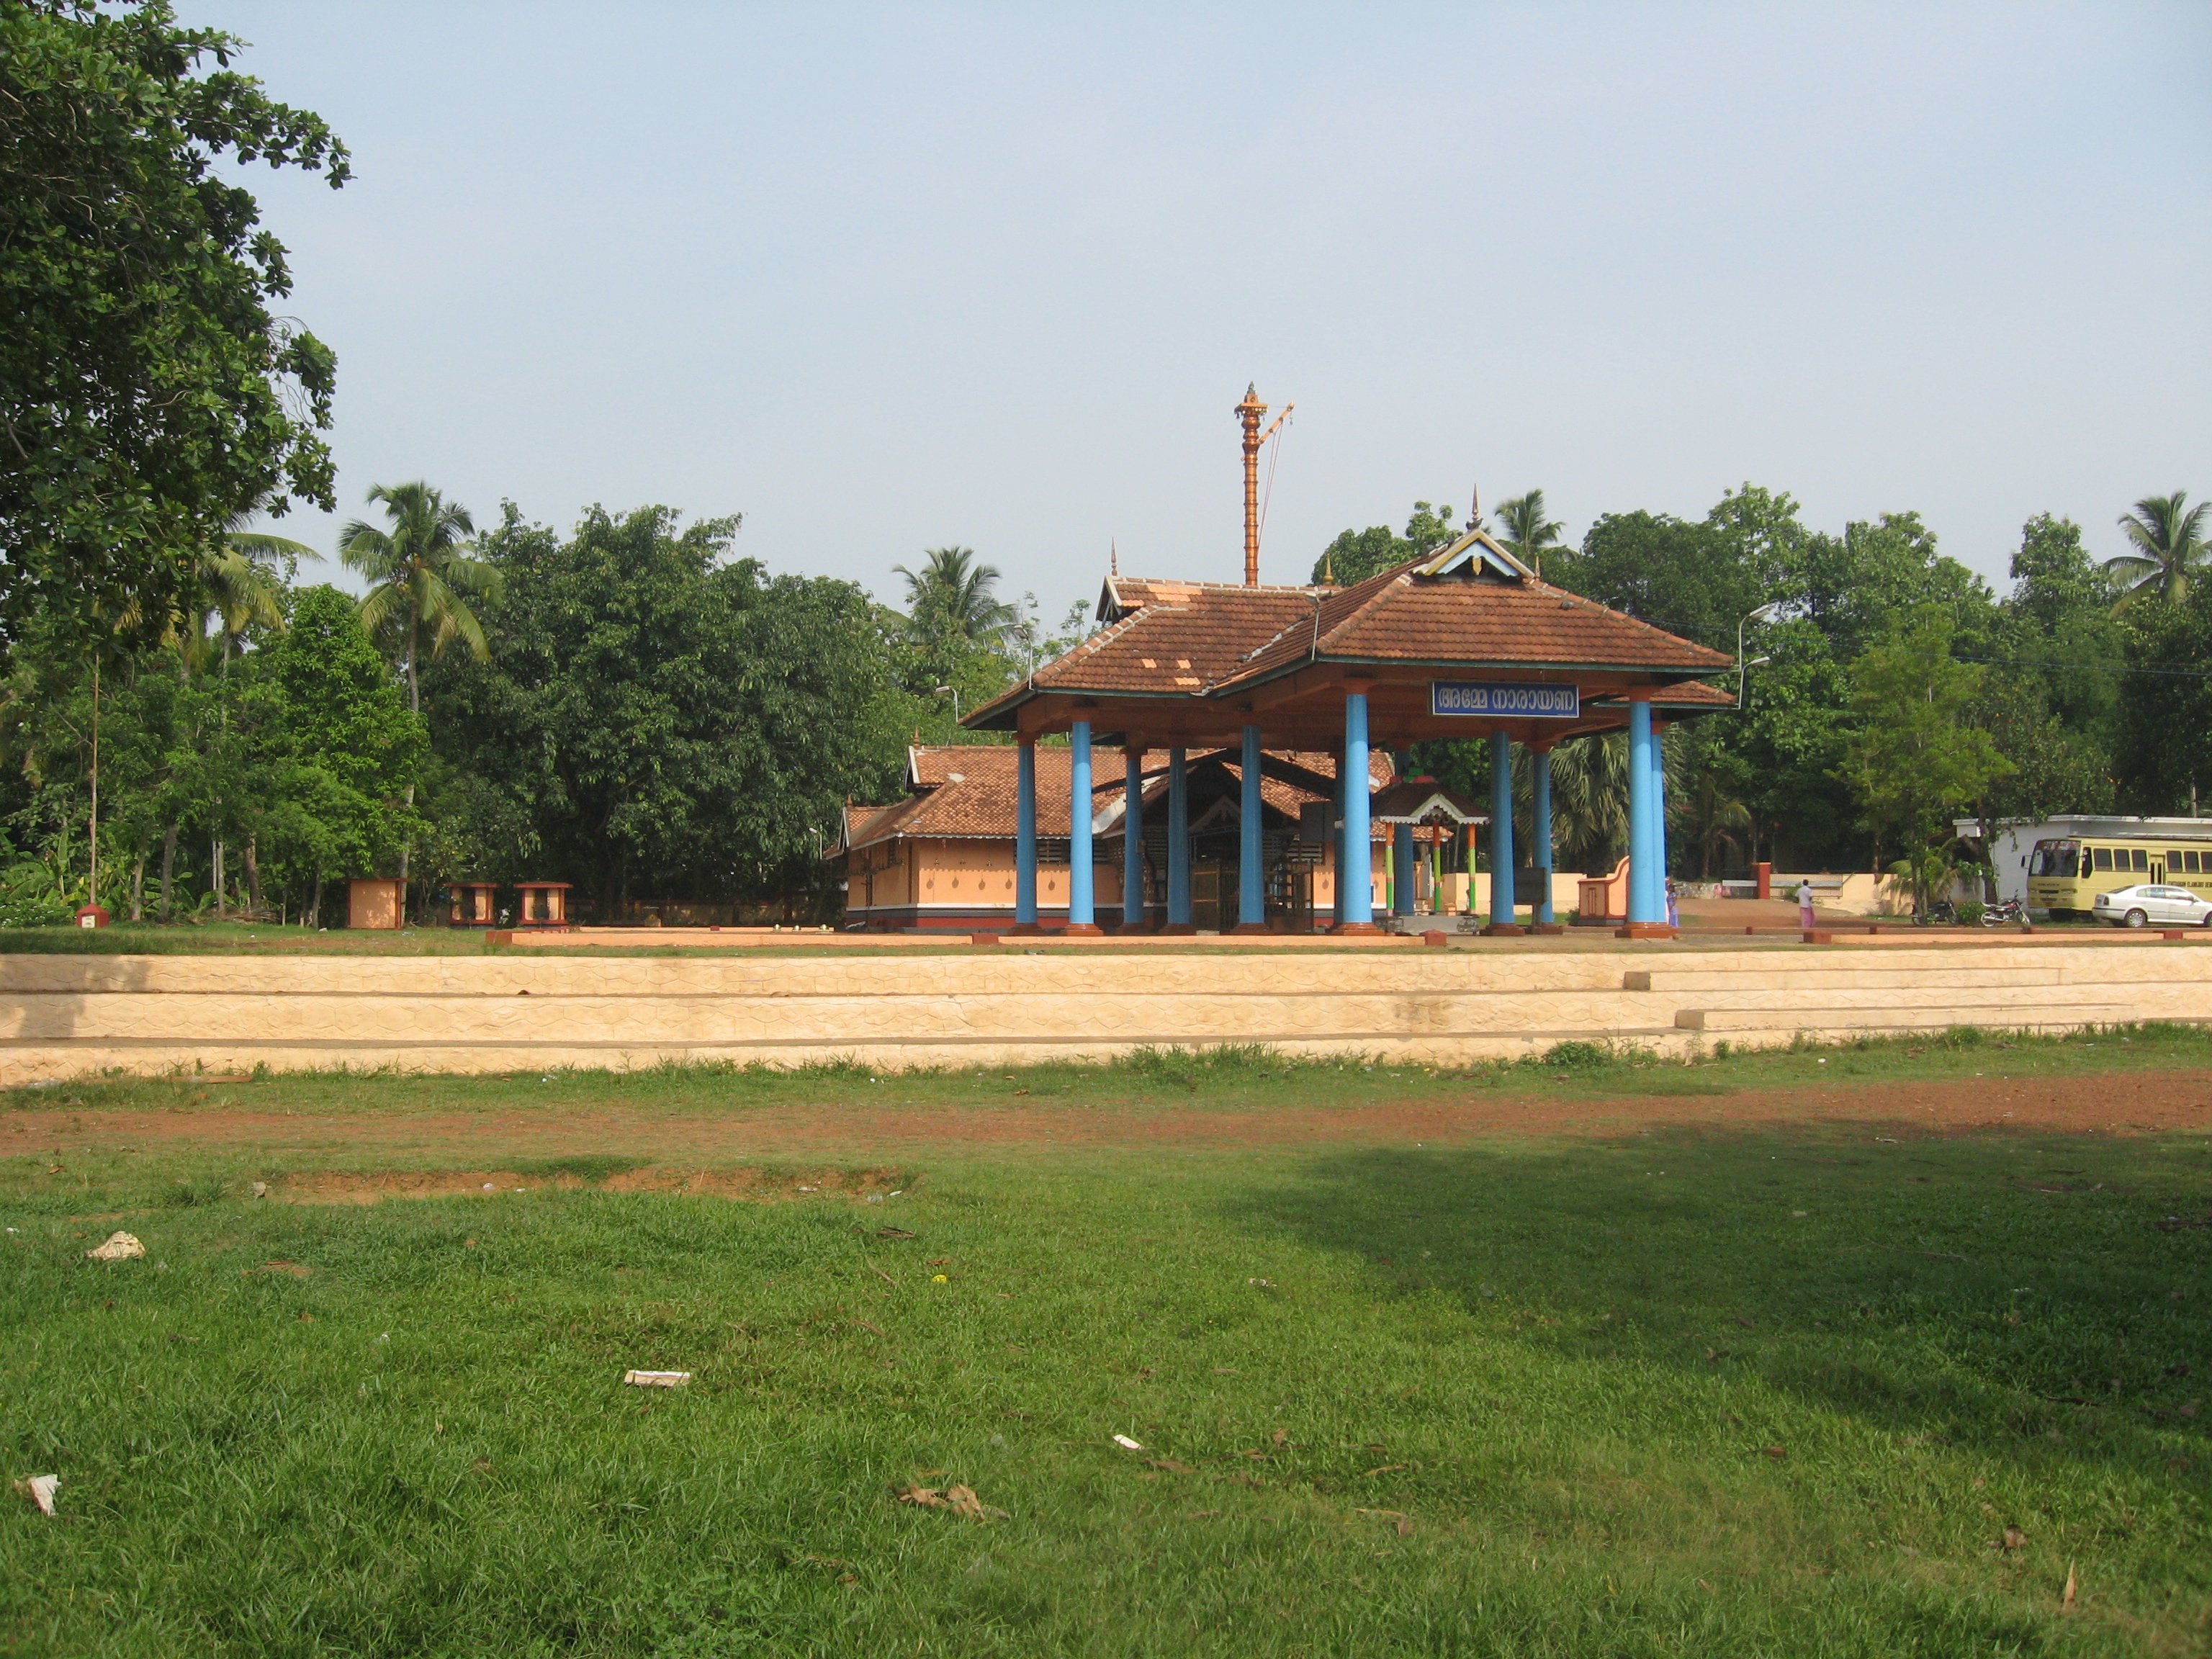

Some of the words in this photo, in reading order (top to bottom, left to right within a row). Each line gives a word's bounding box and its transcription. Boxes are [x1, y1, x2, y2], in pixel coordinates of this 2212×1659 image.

[1434, 680, 1493, 710] അമ്മേ
[1487, 685, 1576, 711] നാരായണ